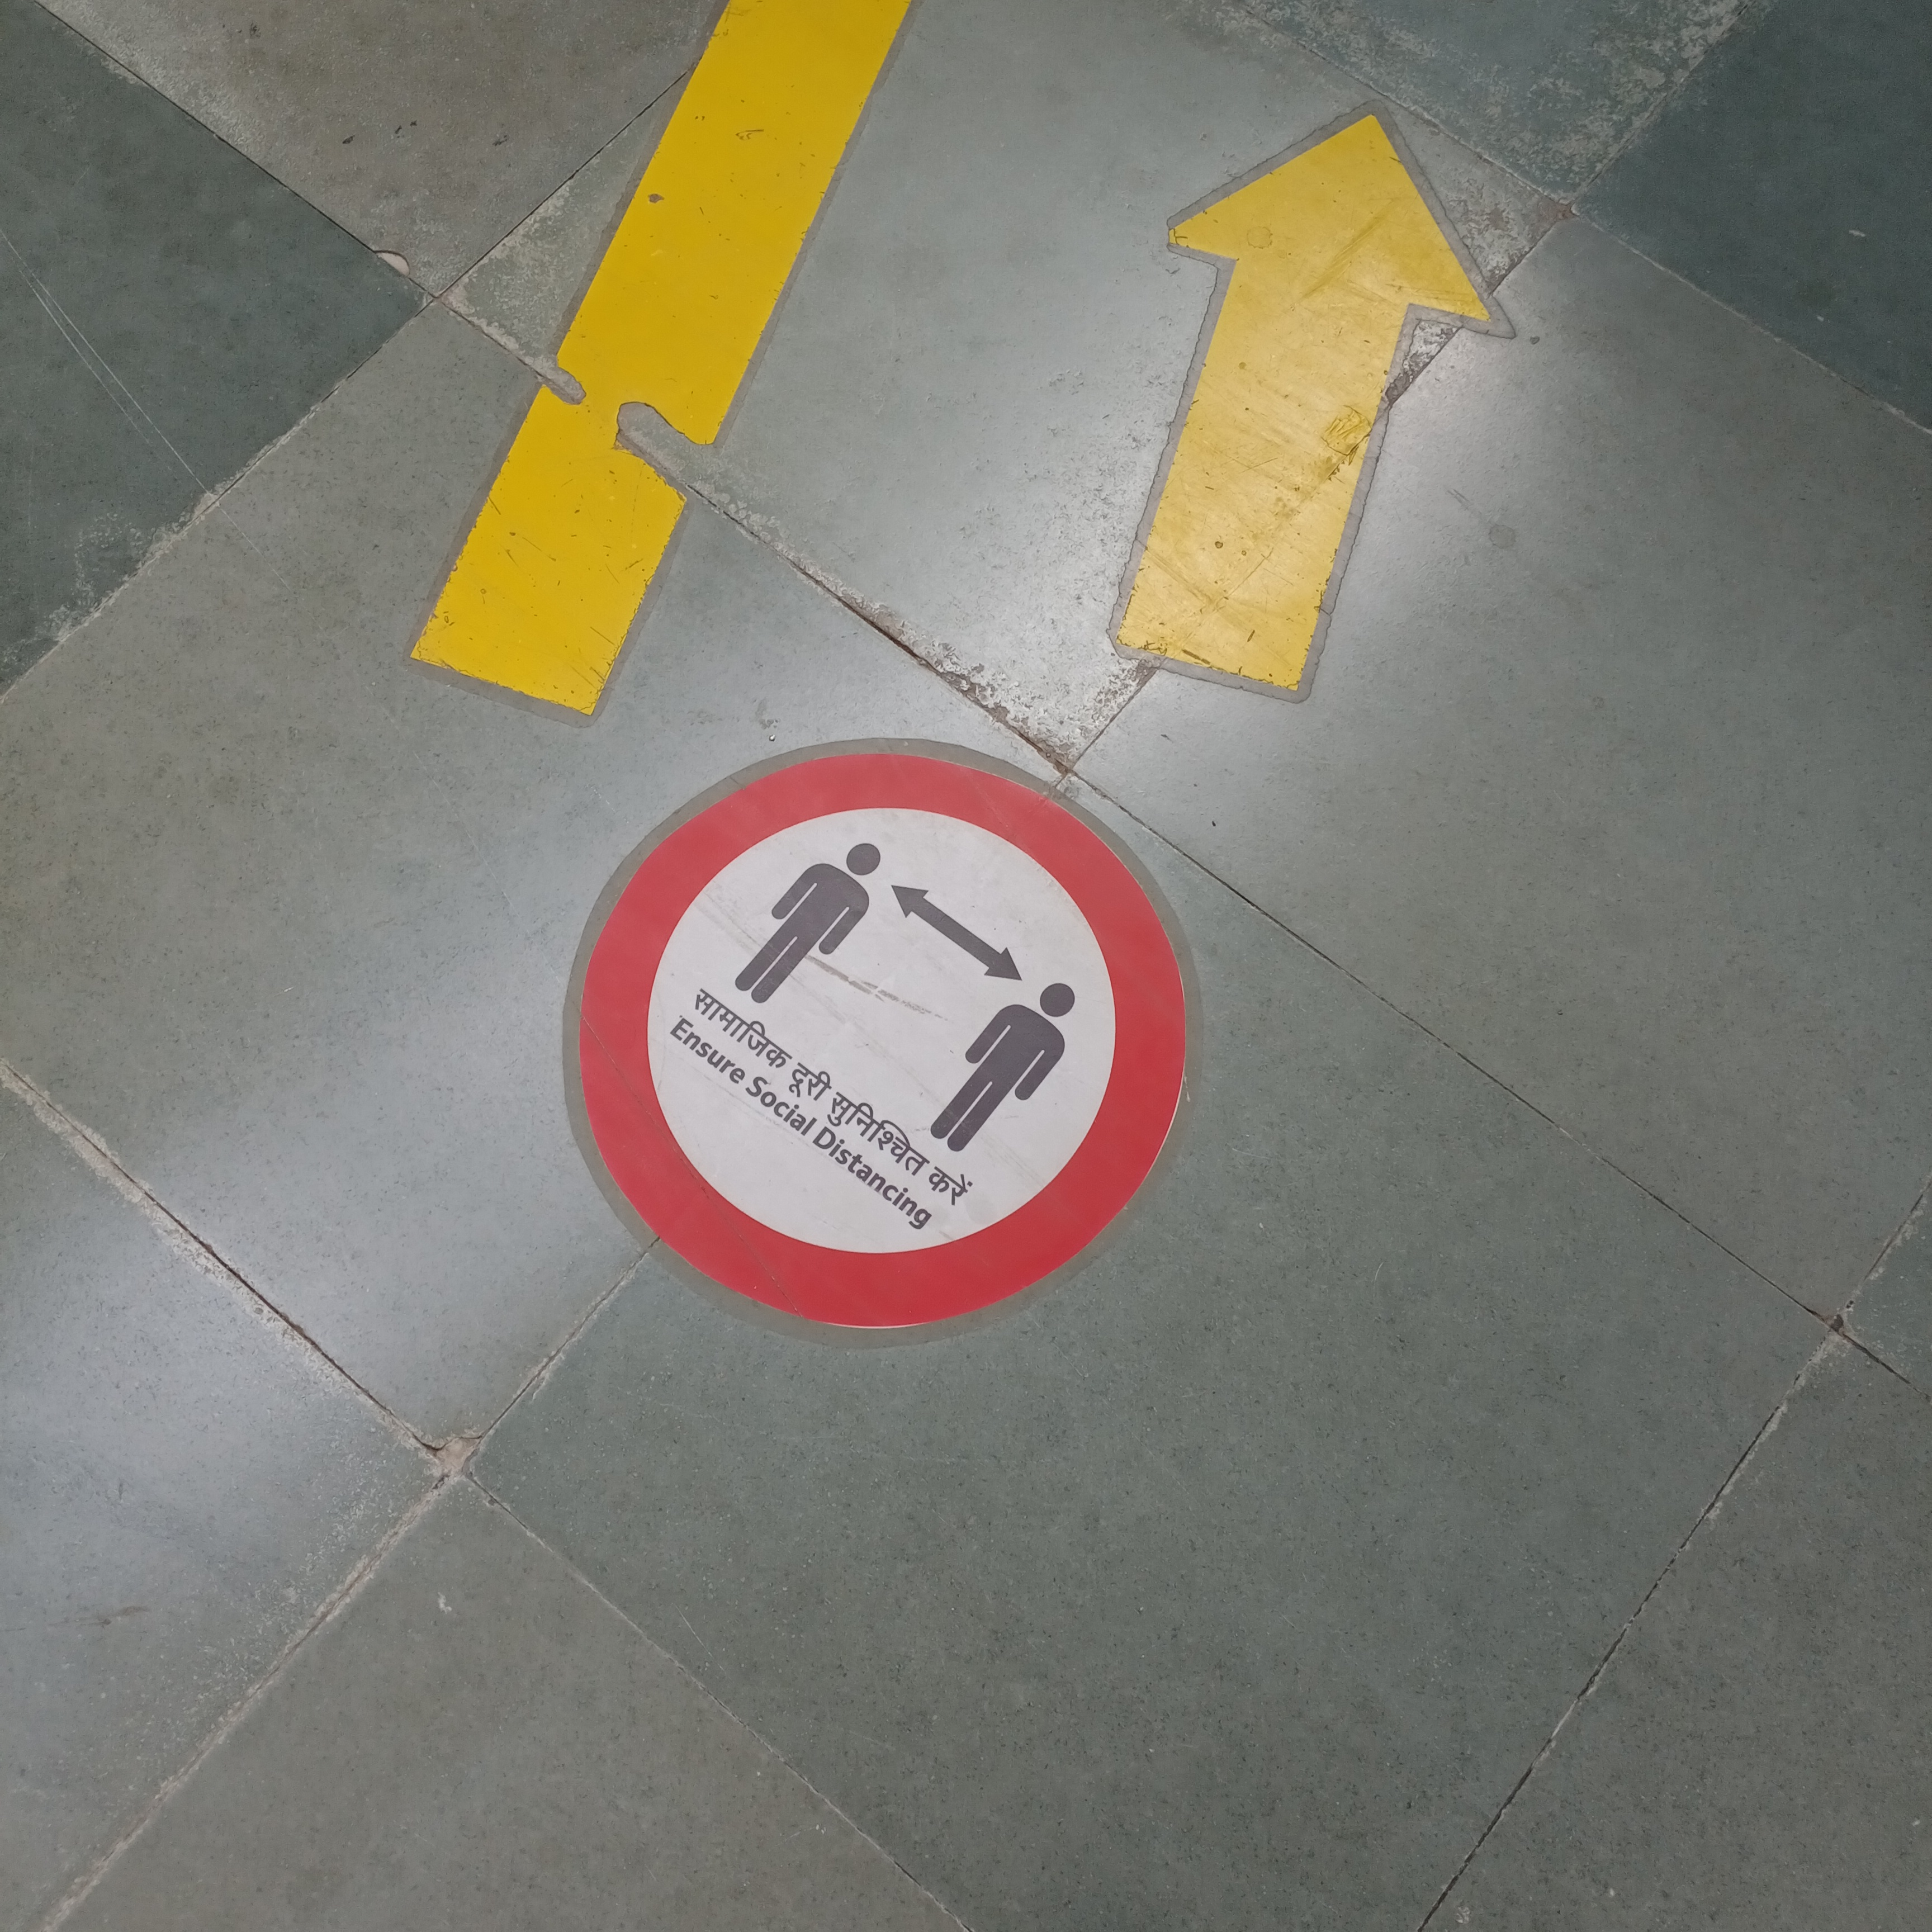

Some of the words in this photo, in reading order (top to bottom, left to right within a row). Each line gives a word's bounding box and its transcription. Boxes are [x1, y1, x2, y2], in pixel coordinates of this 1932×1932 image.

[667, 1016, 748, 1087] Ensure
[689, 986, 795, 1071] सामाजिक
[741, 1073, 819, 1140] Social
[785, 1060, 834, 1104] दूरी
[823, 1088, 931, 1181] सुनिश्चित
[810, 1125, 933, 1233] Distancing
[925, 1166, 975, 1208] करें